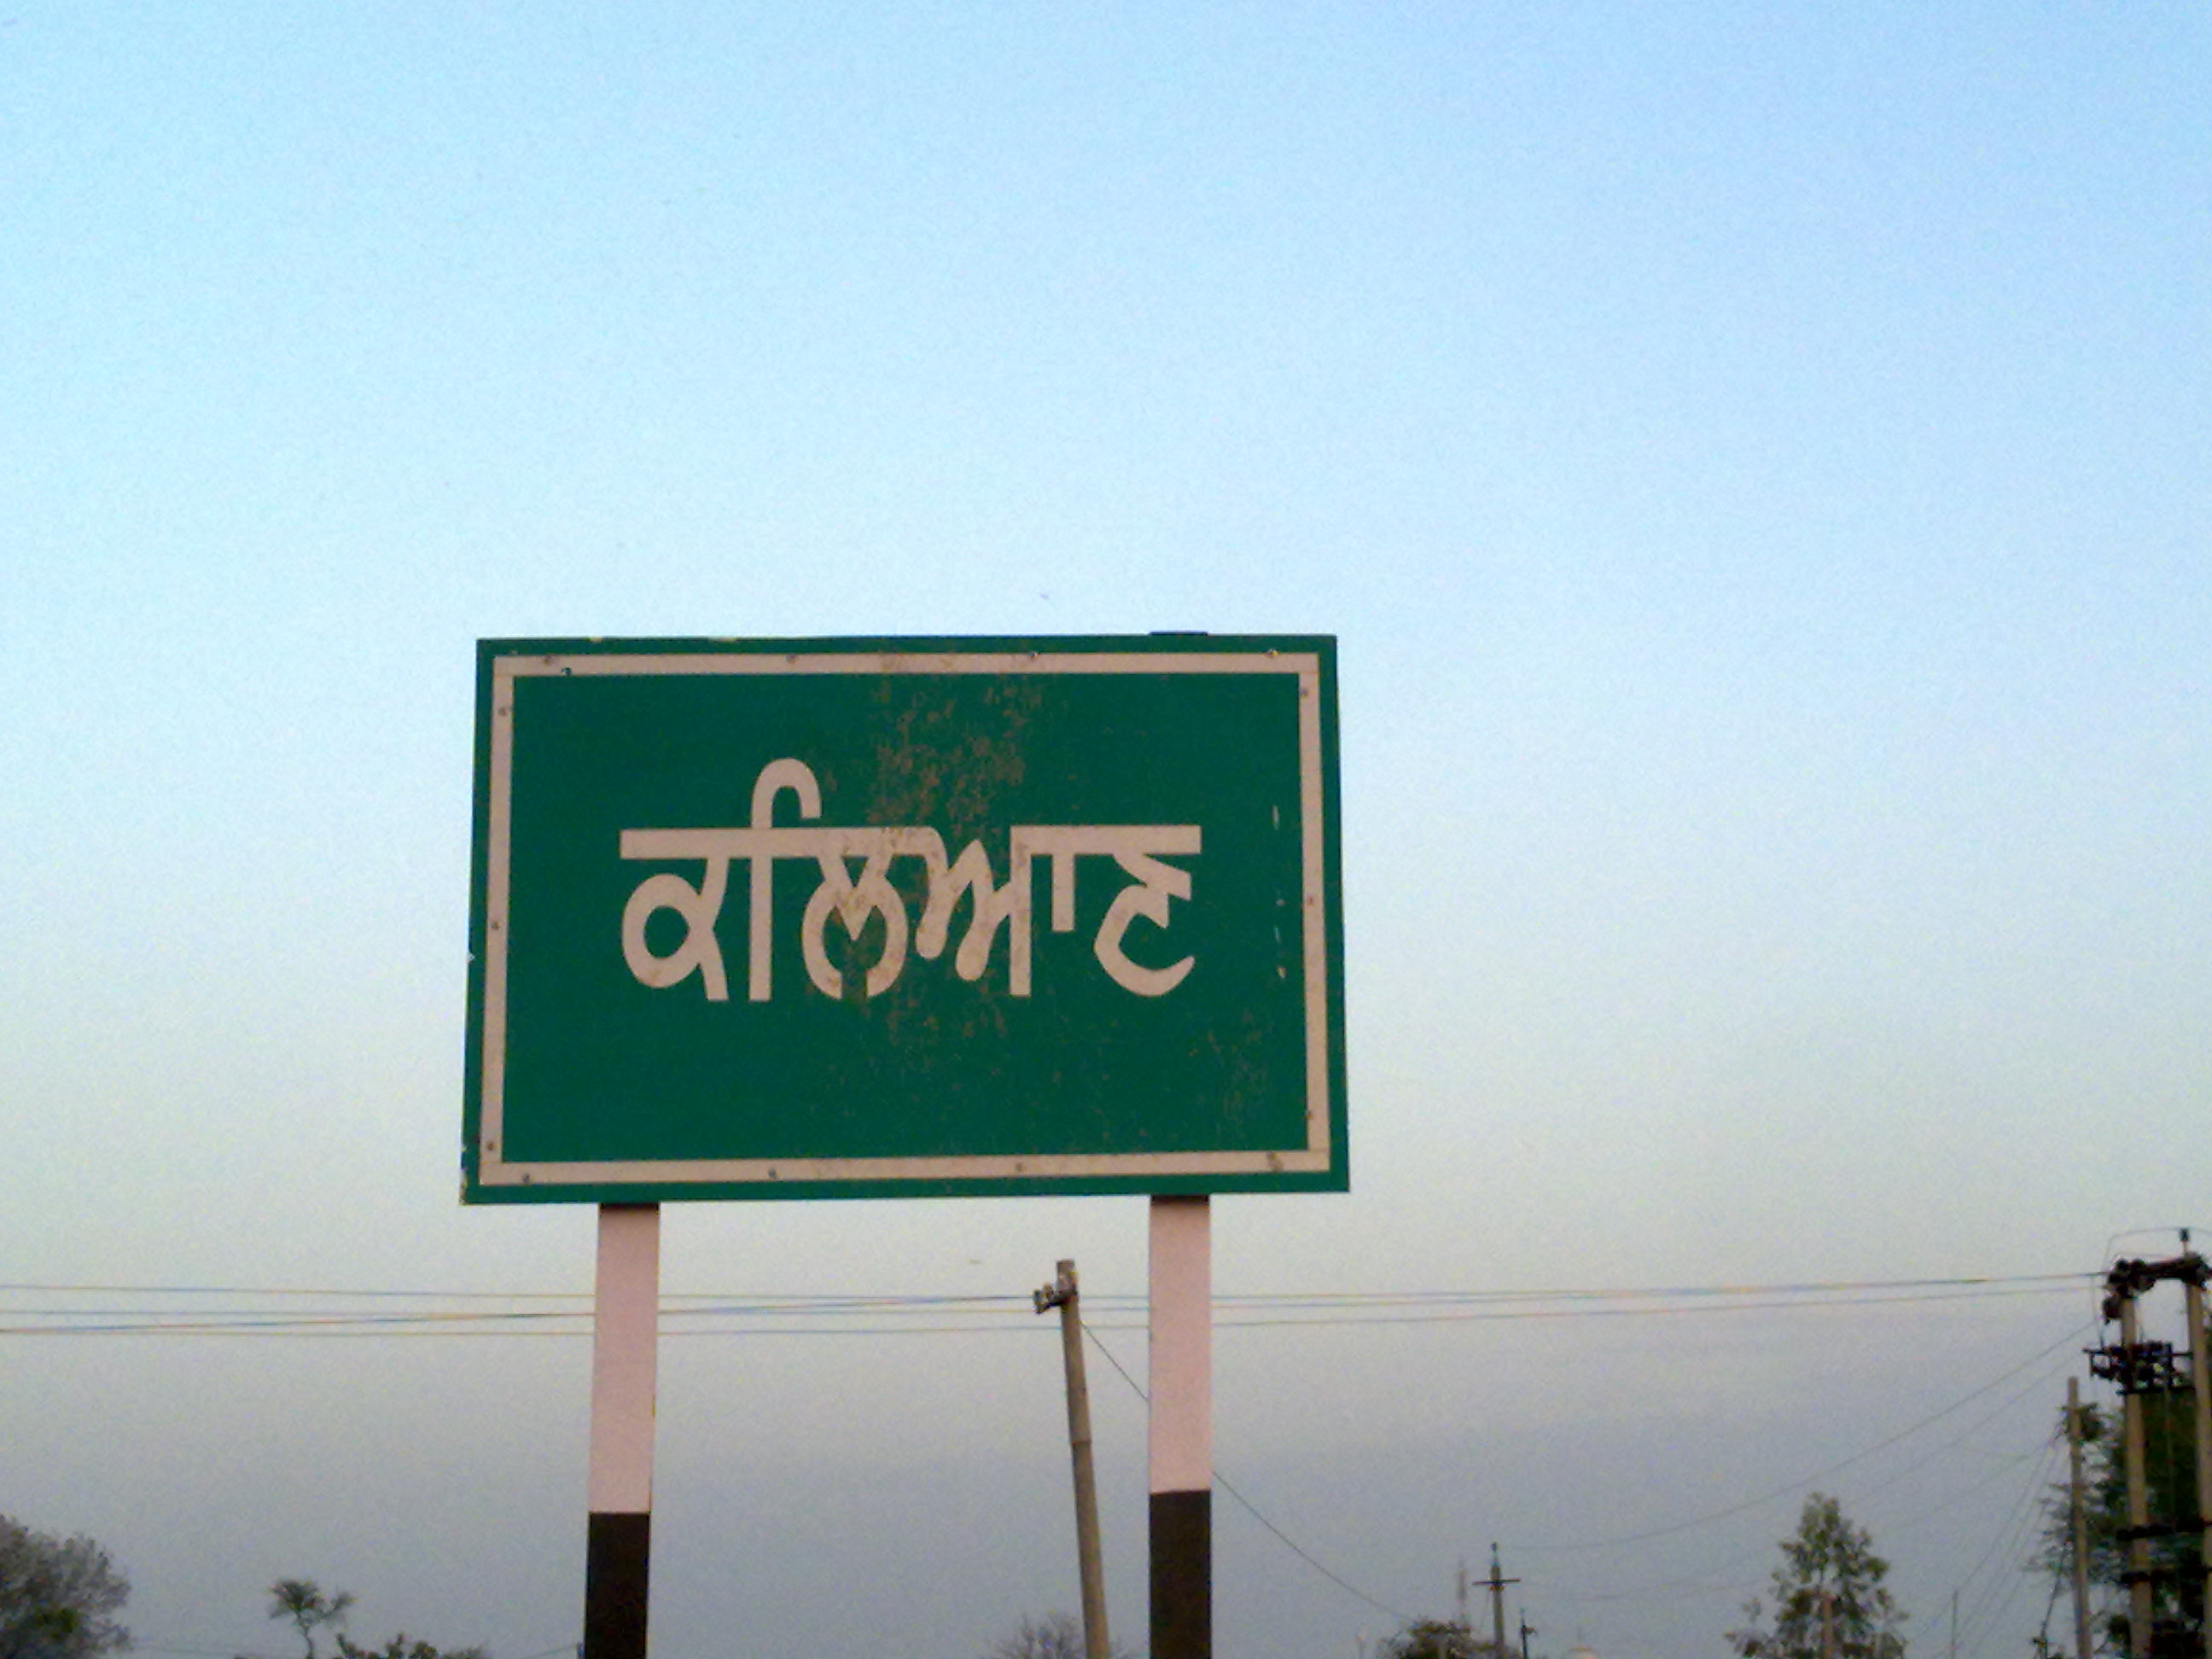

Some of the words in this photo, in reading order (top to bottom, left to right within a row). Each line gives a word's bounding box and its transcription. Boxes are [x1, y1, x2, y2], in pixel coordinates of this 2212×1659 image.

[570, 742, 1248, 1045] ਕਲਿਆਣ